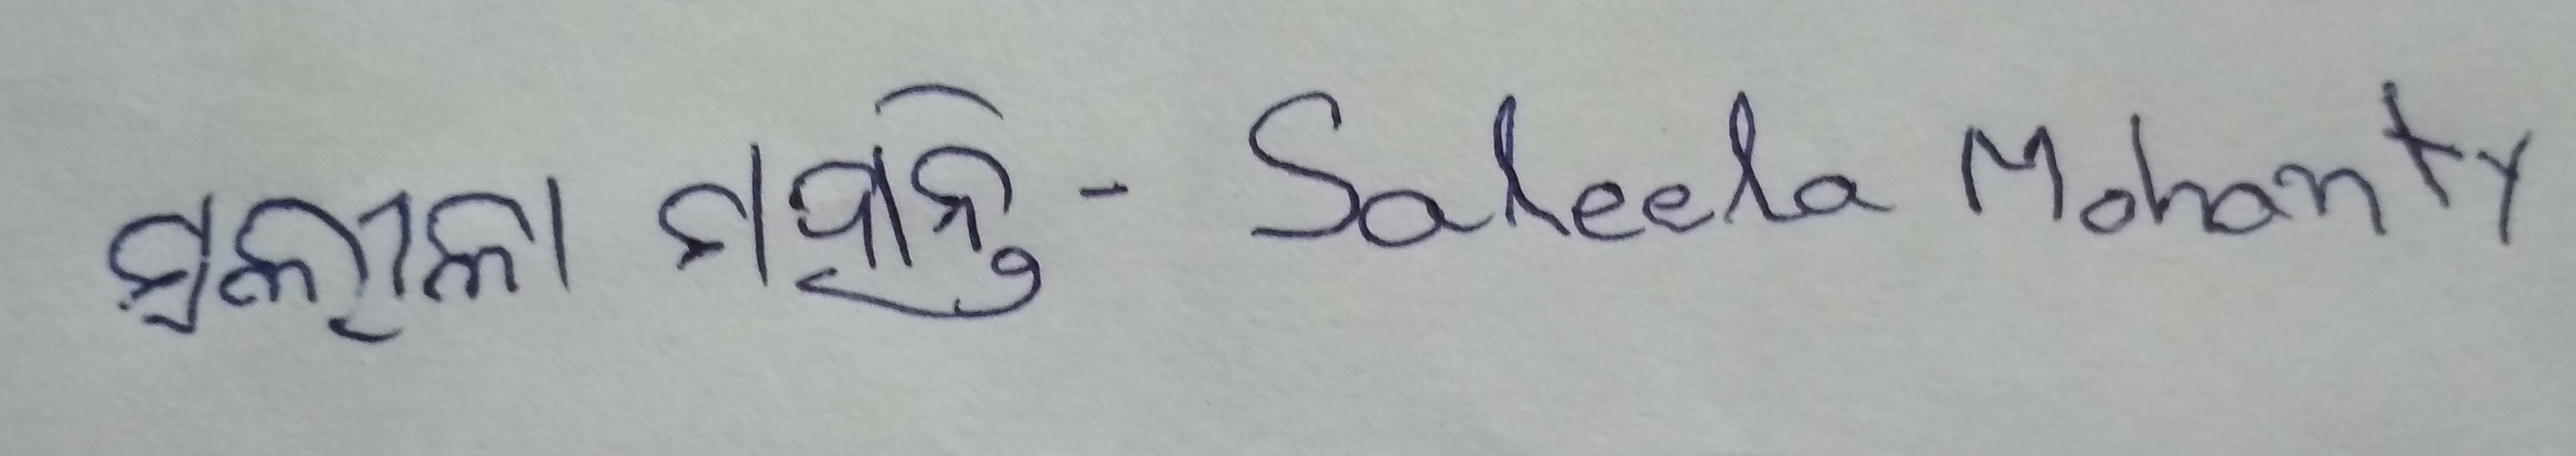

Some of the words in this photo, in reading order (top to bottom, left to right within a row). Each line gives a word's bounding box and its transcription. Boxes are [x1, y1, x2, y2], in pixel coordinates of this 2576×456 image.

[91, 152, 587, 351] ସଲୀଳା
[1240, 79, 1898, 257] Saleela
[1954, 71, 2537, 248] Mohanty